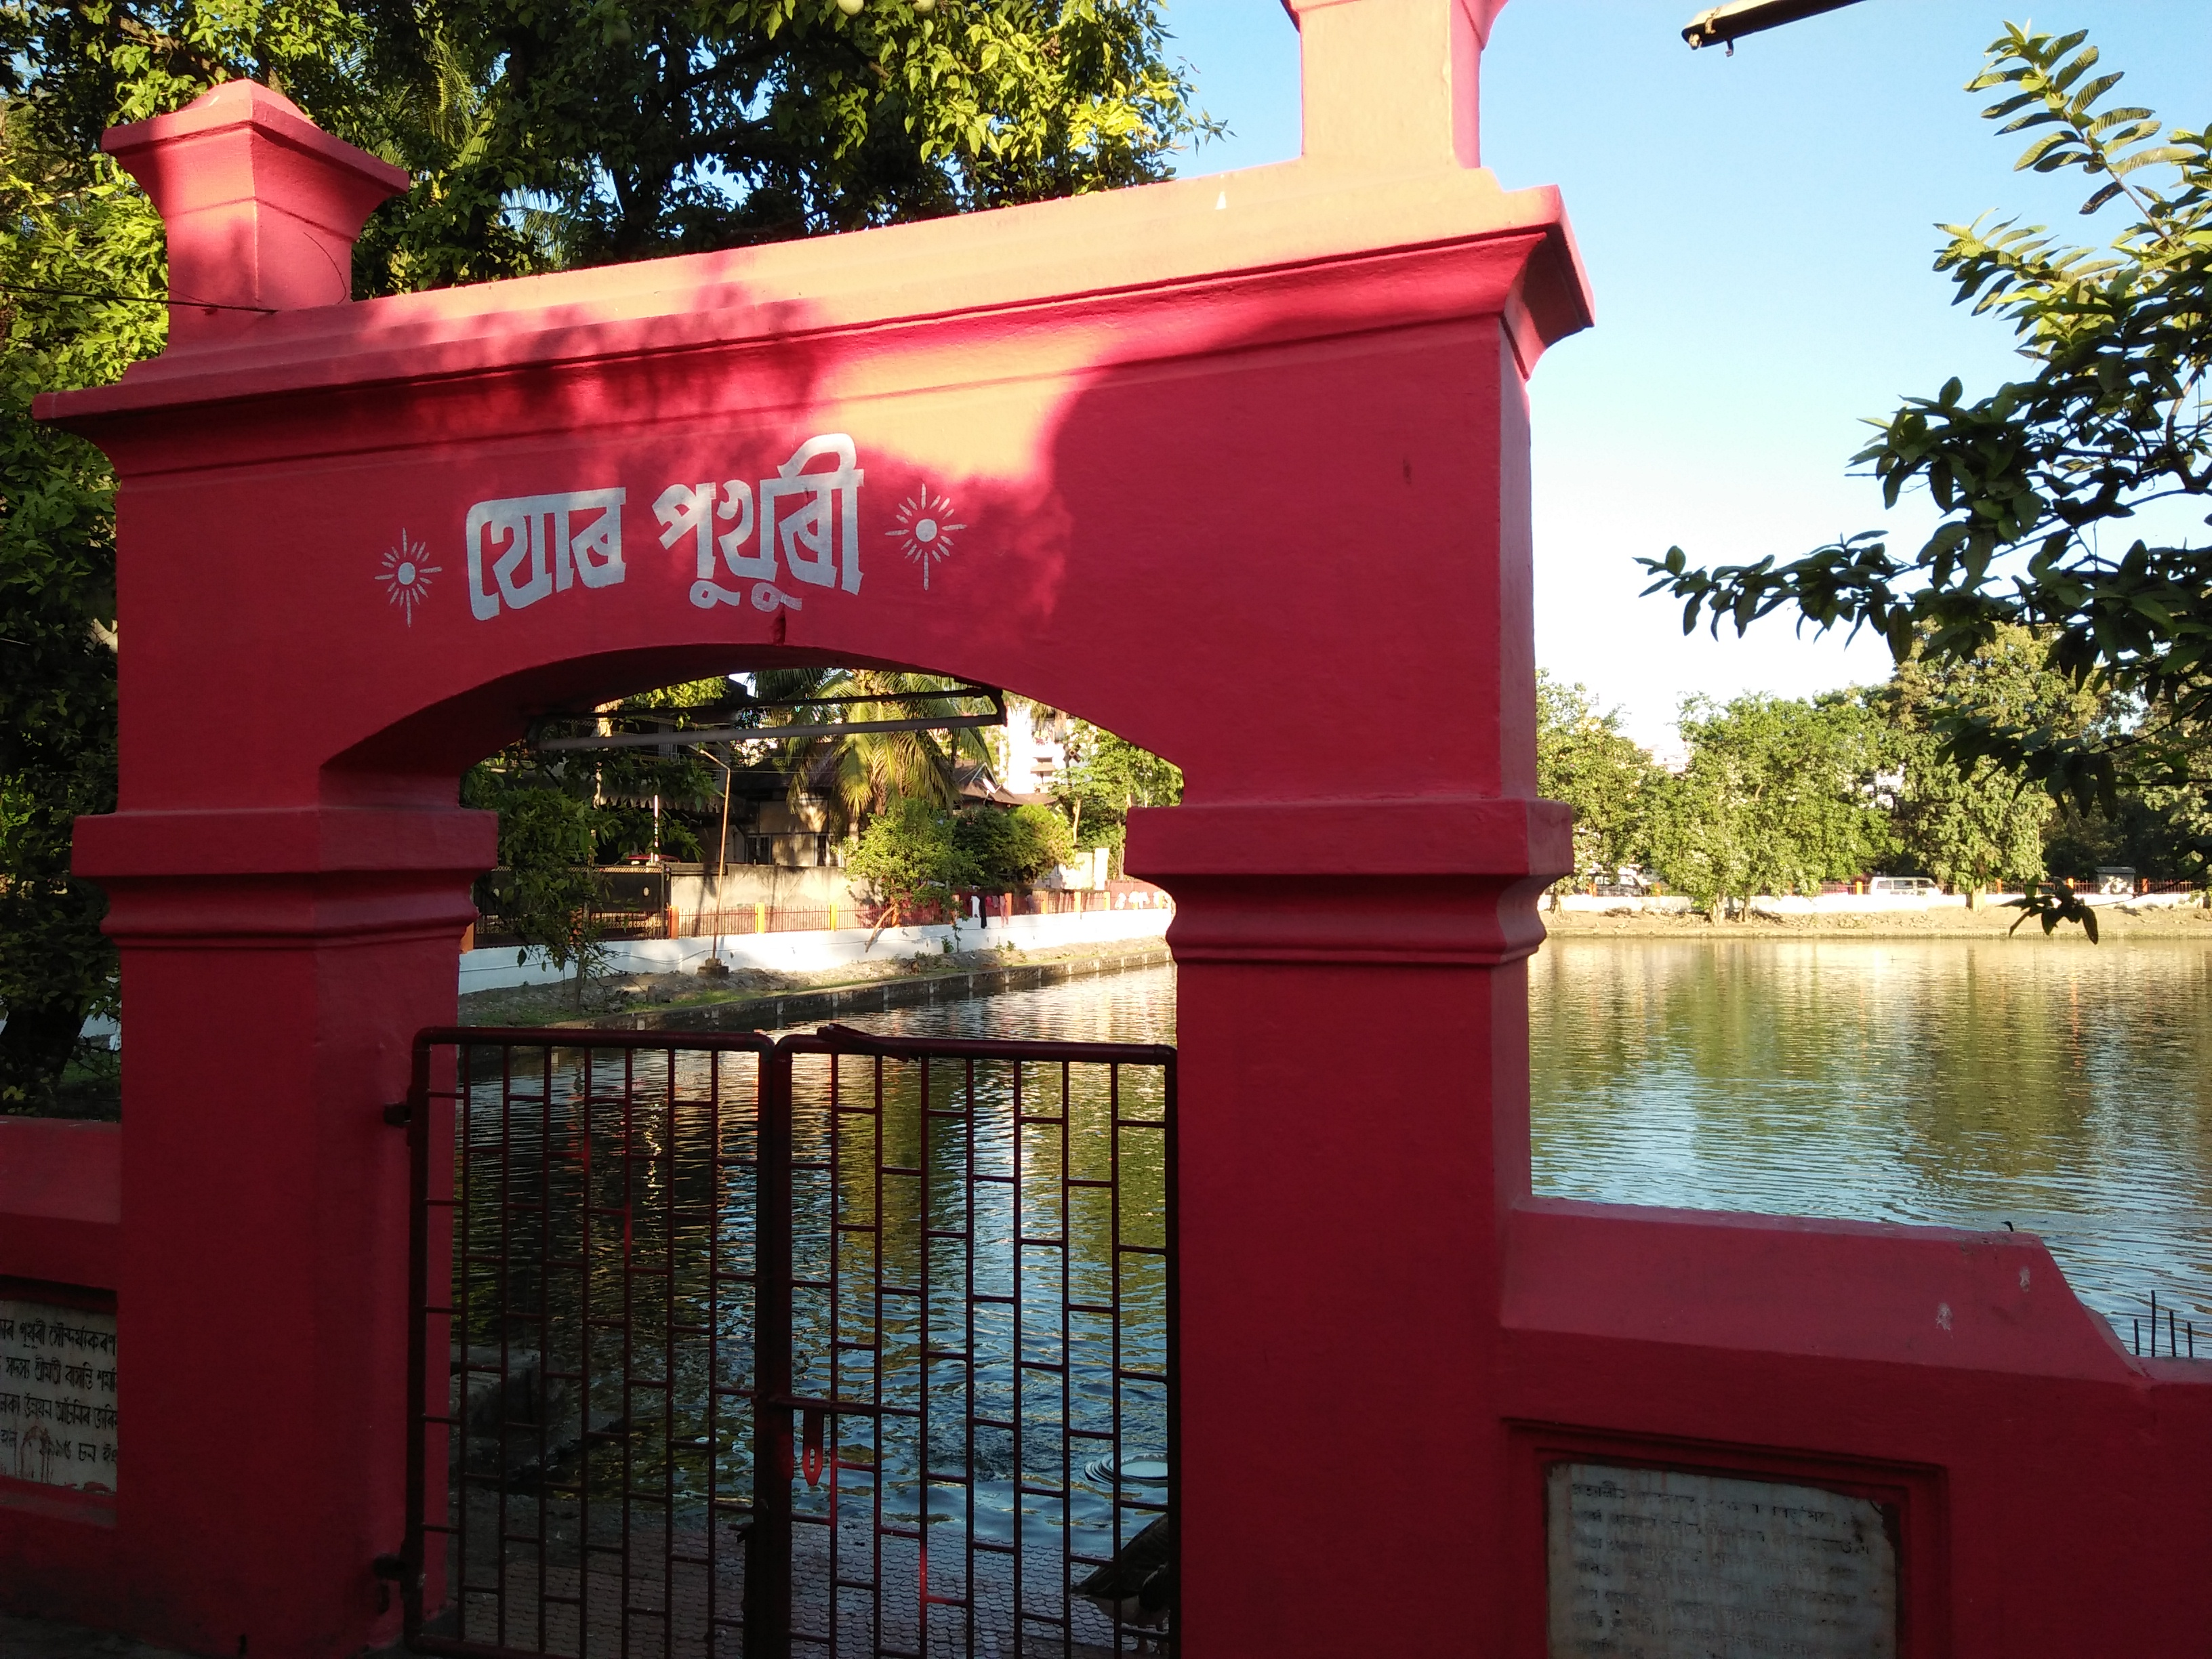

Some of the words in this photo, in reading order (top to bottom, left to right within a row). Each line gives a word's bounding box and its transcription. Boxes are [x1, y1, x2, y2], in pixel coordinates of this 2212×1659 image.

[643, 424, 869, 617] পুথুৰী
[455, 475, 636, 628] থোৰ
[16, 1309, 49, 1349] পথৰী
[45, 1318, 123, 1356] সৌন্দৰ্য্যকৰণ
[2, 1351, 35, 1382] সদস্য
[29, 1352, 68, 1387] শ্রীমতী
[64, 1355, 97, 1392] বাসন্তি
[19, 1390, 54, 1424] উন্নয়ন
[54, 1393, 95, 1429] আঁচনিৰ
[90, 1398, 122, 1432] ভৰি
[75, 1435, 102, 1467] চন